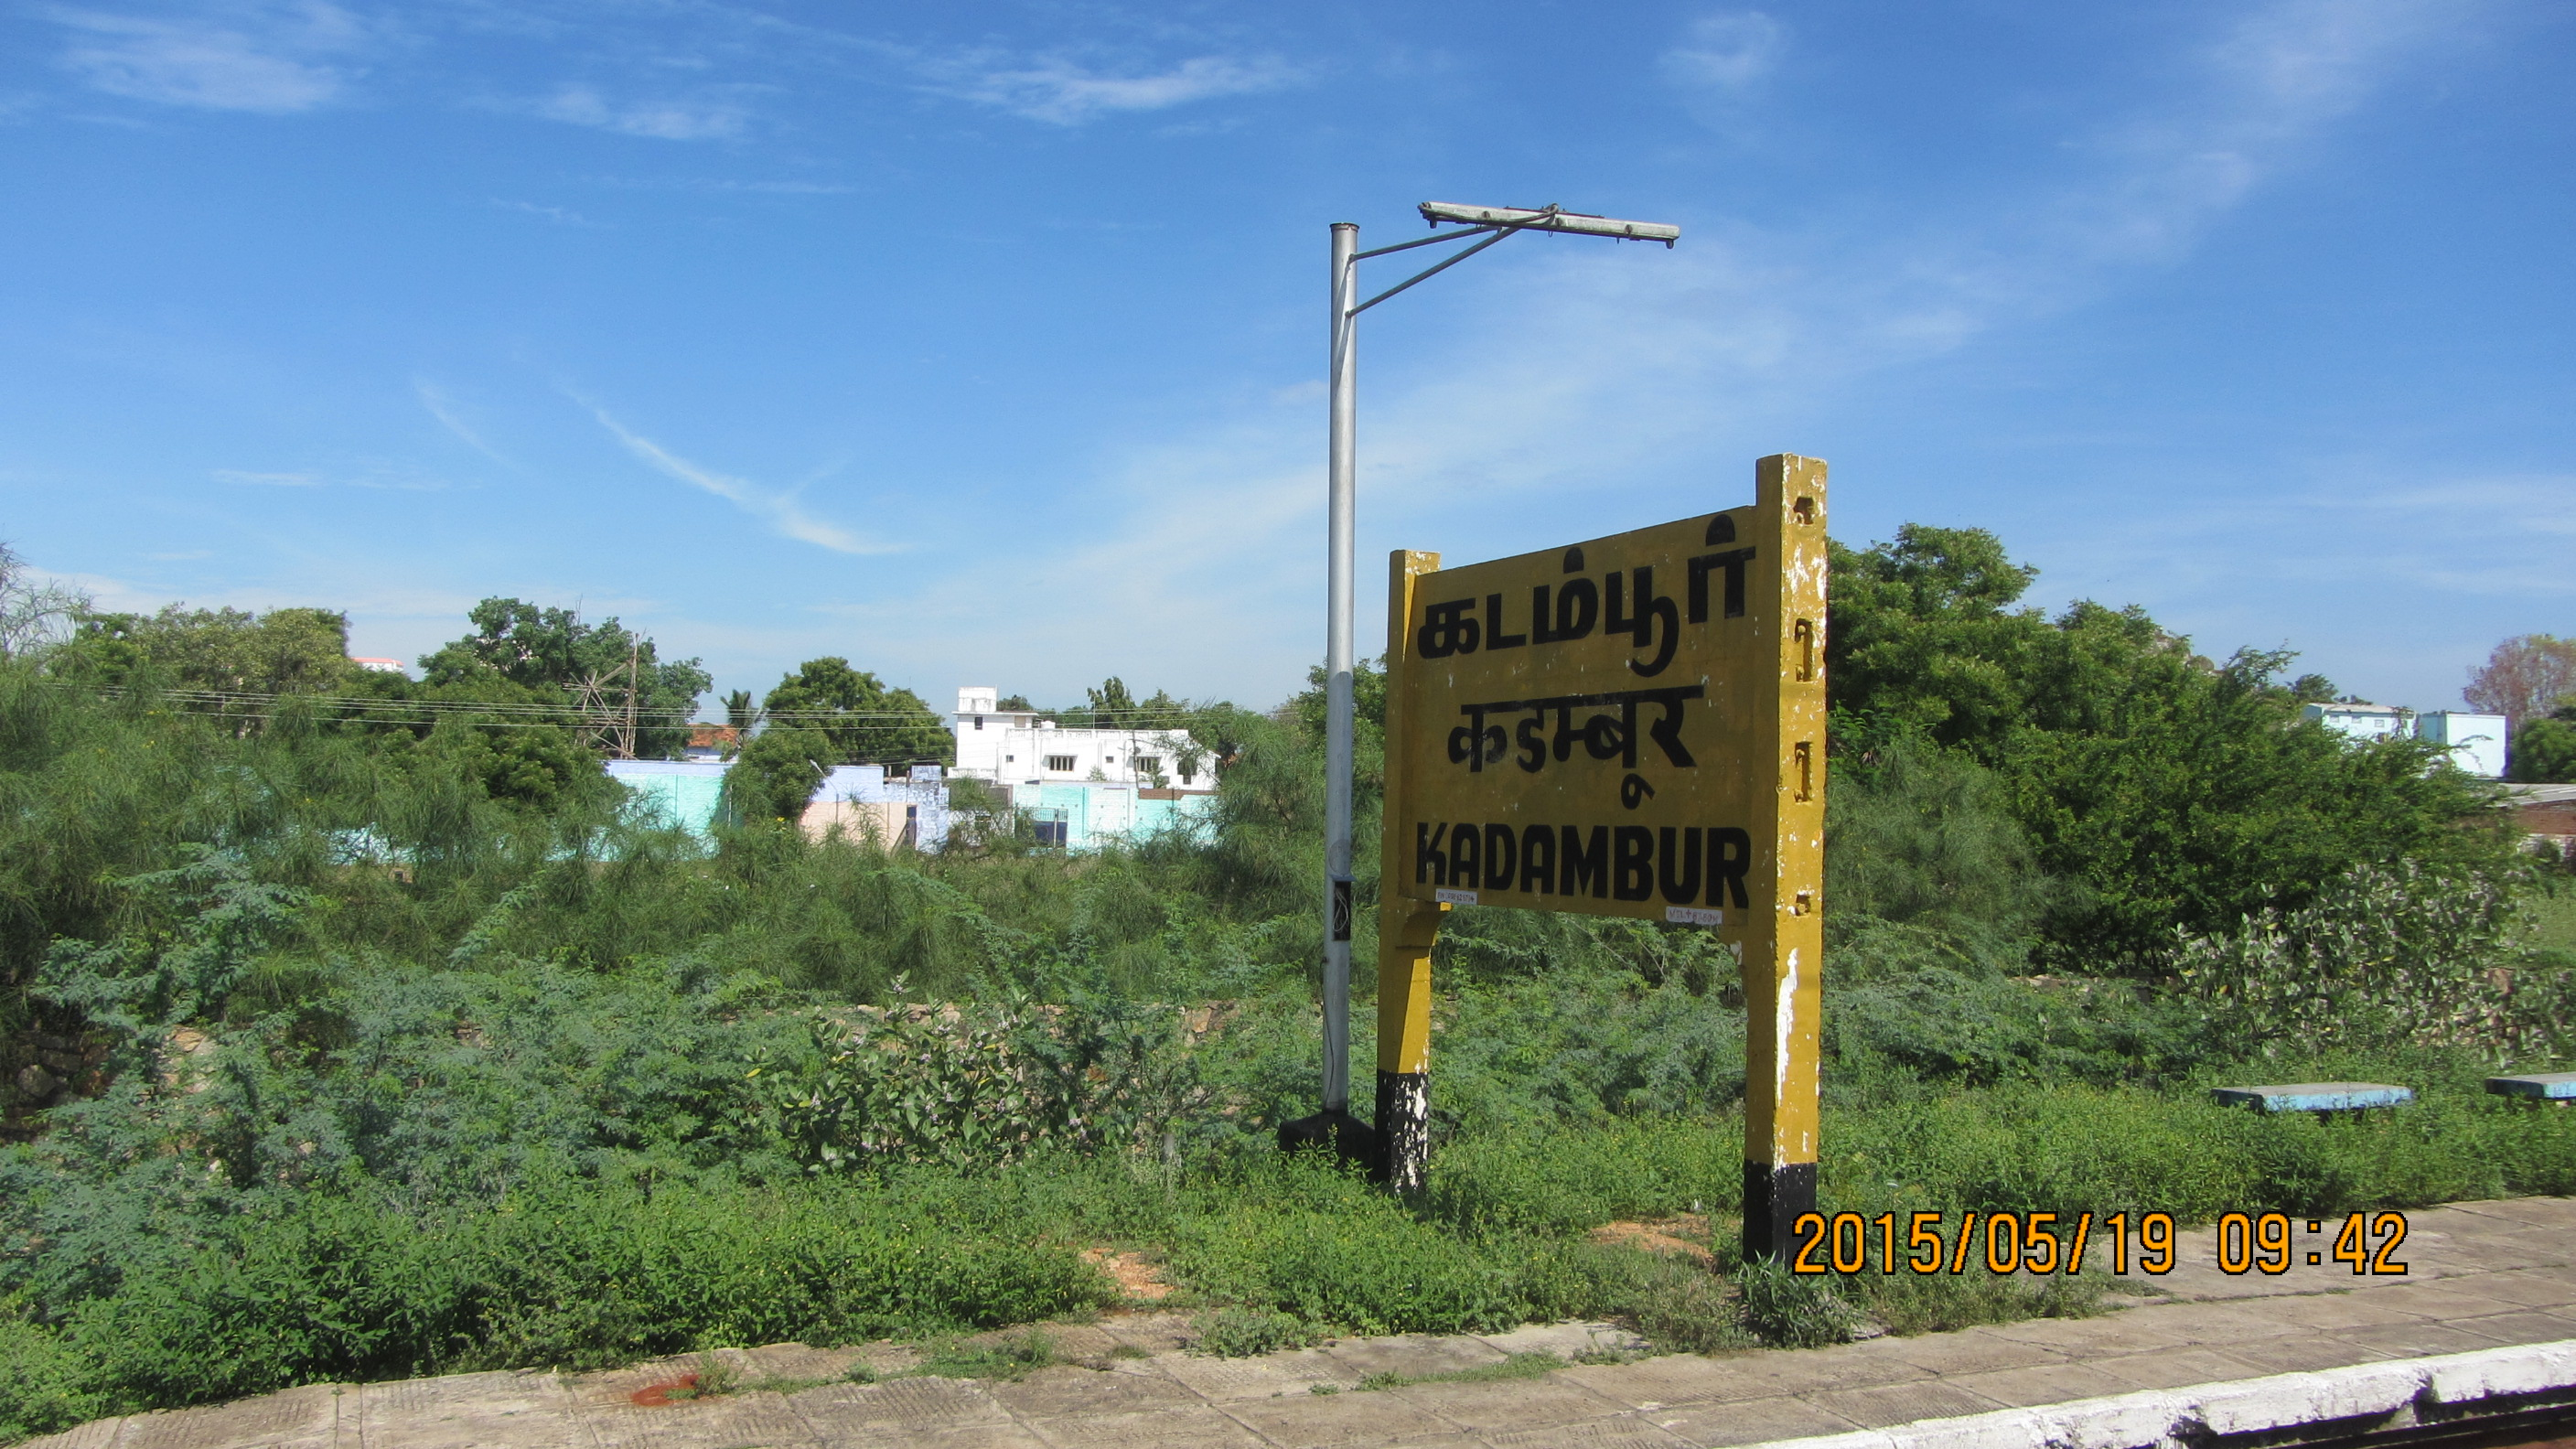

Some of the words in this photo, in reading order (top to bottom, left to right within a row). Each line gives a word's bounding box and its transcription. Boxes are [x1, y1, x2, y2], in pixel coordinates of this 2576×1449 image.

[1411, 508, 1758, 683] கடம்பூா்
[1445, 677, 1713, 817] कडम्बूर
[1406, 813, 1760, 913] KADAMBUR
[1787, 1201, 2186, 1281] 2015/05/19
[2212, 1204, 2419, 1280] 09:42